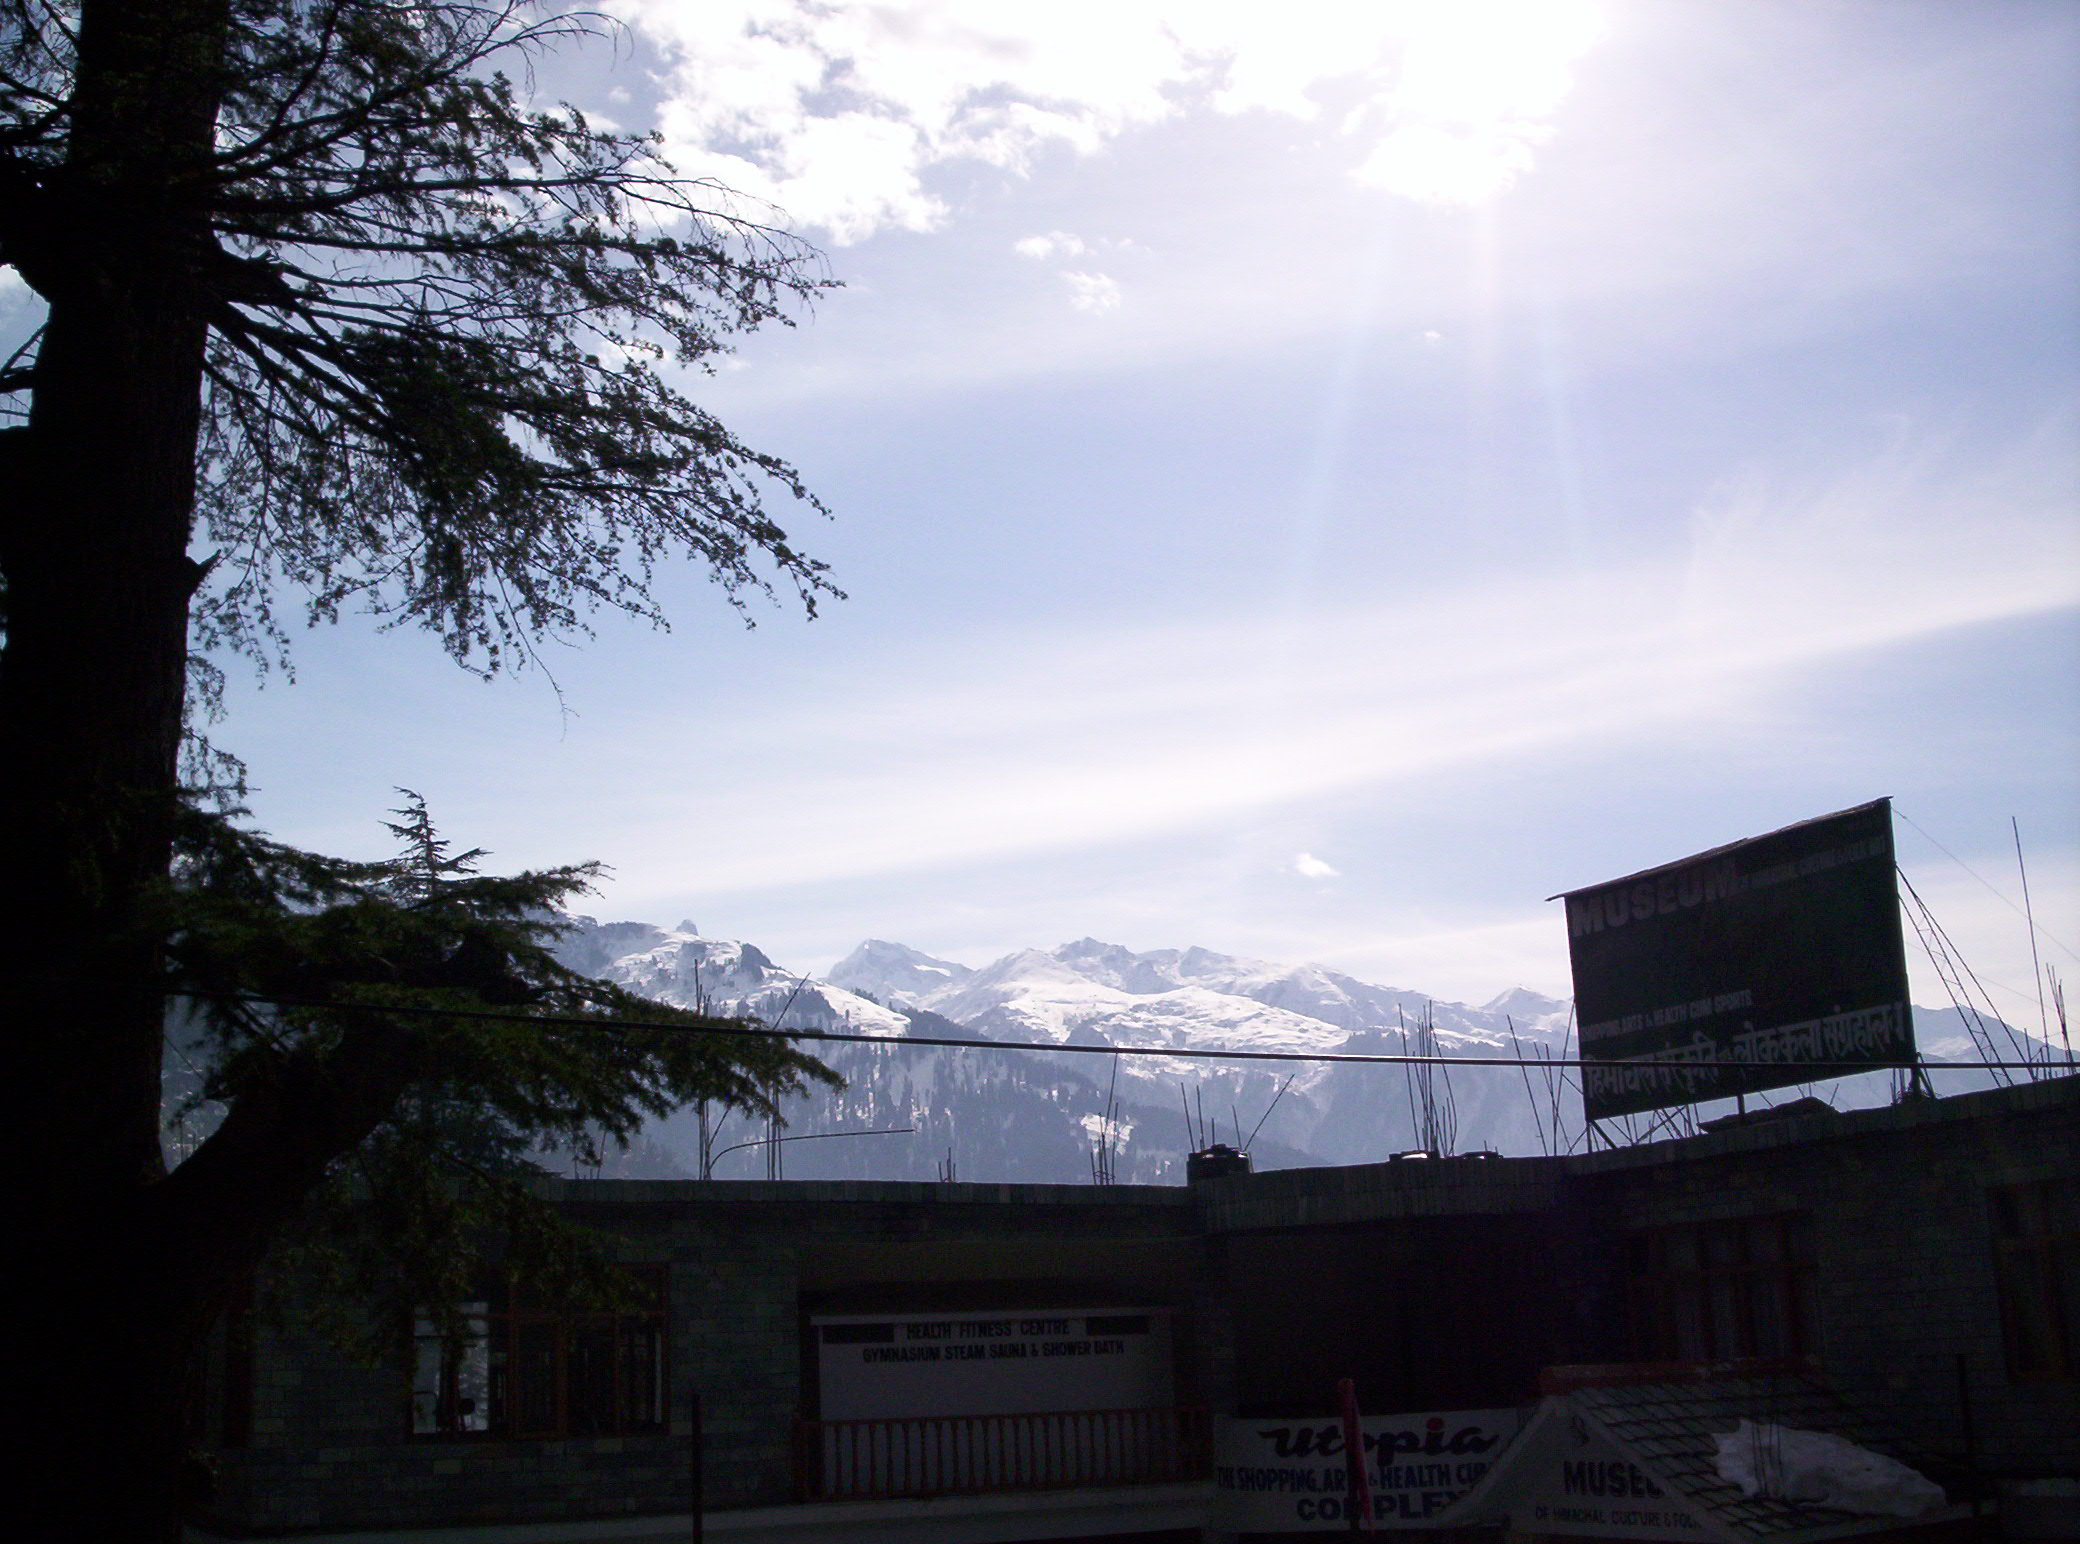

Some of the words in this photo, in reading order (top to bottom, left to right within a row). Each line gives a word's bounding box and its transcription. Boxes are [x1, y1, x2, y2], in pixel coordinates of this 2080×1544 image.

[1563, 852, 1742, 940] MUSEUM
[1819, 999, 1897, 1064] संग्रहाल
[1730, 1013, 1825, 1083] लोककला
[1649, 1028, 1723, 1099] संस्कृति
[1579, 1048, 1661, 1107] हिमाचल
[903, 1318, 957, 1345] HEALTH
[956, 1318, 1016, 1341] FITNESS
[1017, 1316, 1075, 1343] CENTRE
[858, 1344, 944, 1368] GYMNASIUM
[941, 1341, 989, 1364] STEAM
[987, 1338, 1031, 1363] SAUNA
[1039, 1337, 1095, 1359] SHOWER
[1090, 1336, 1129, 1358] BATH
[1234, 1463, 1320, 1497] SHOPPING
[1376, 1460, 1456, 1495] HEALTH